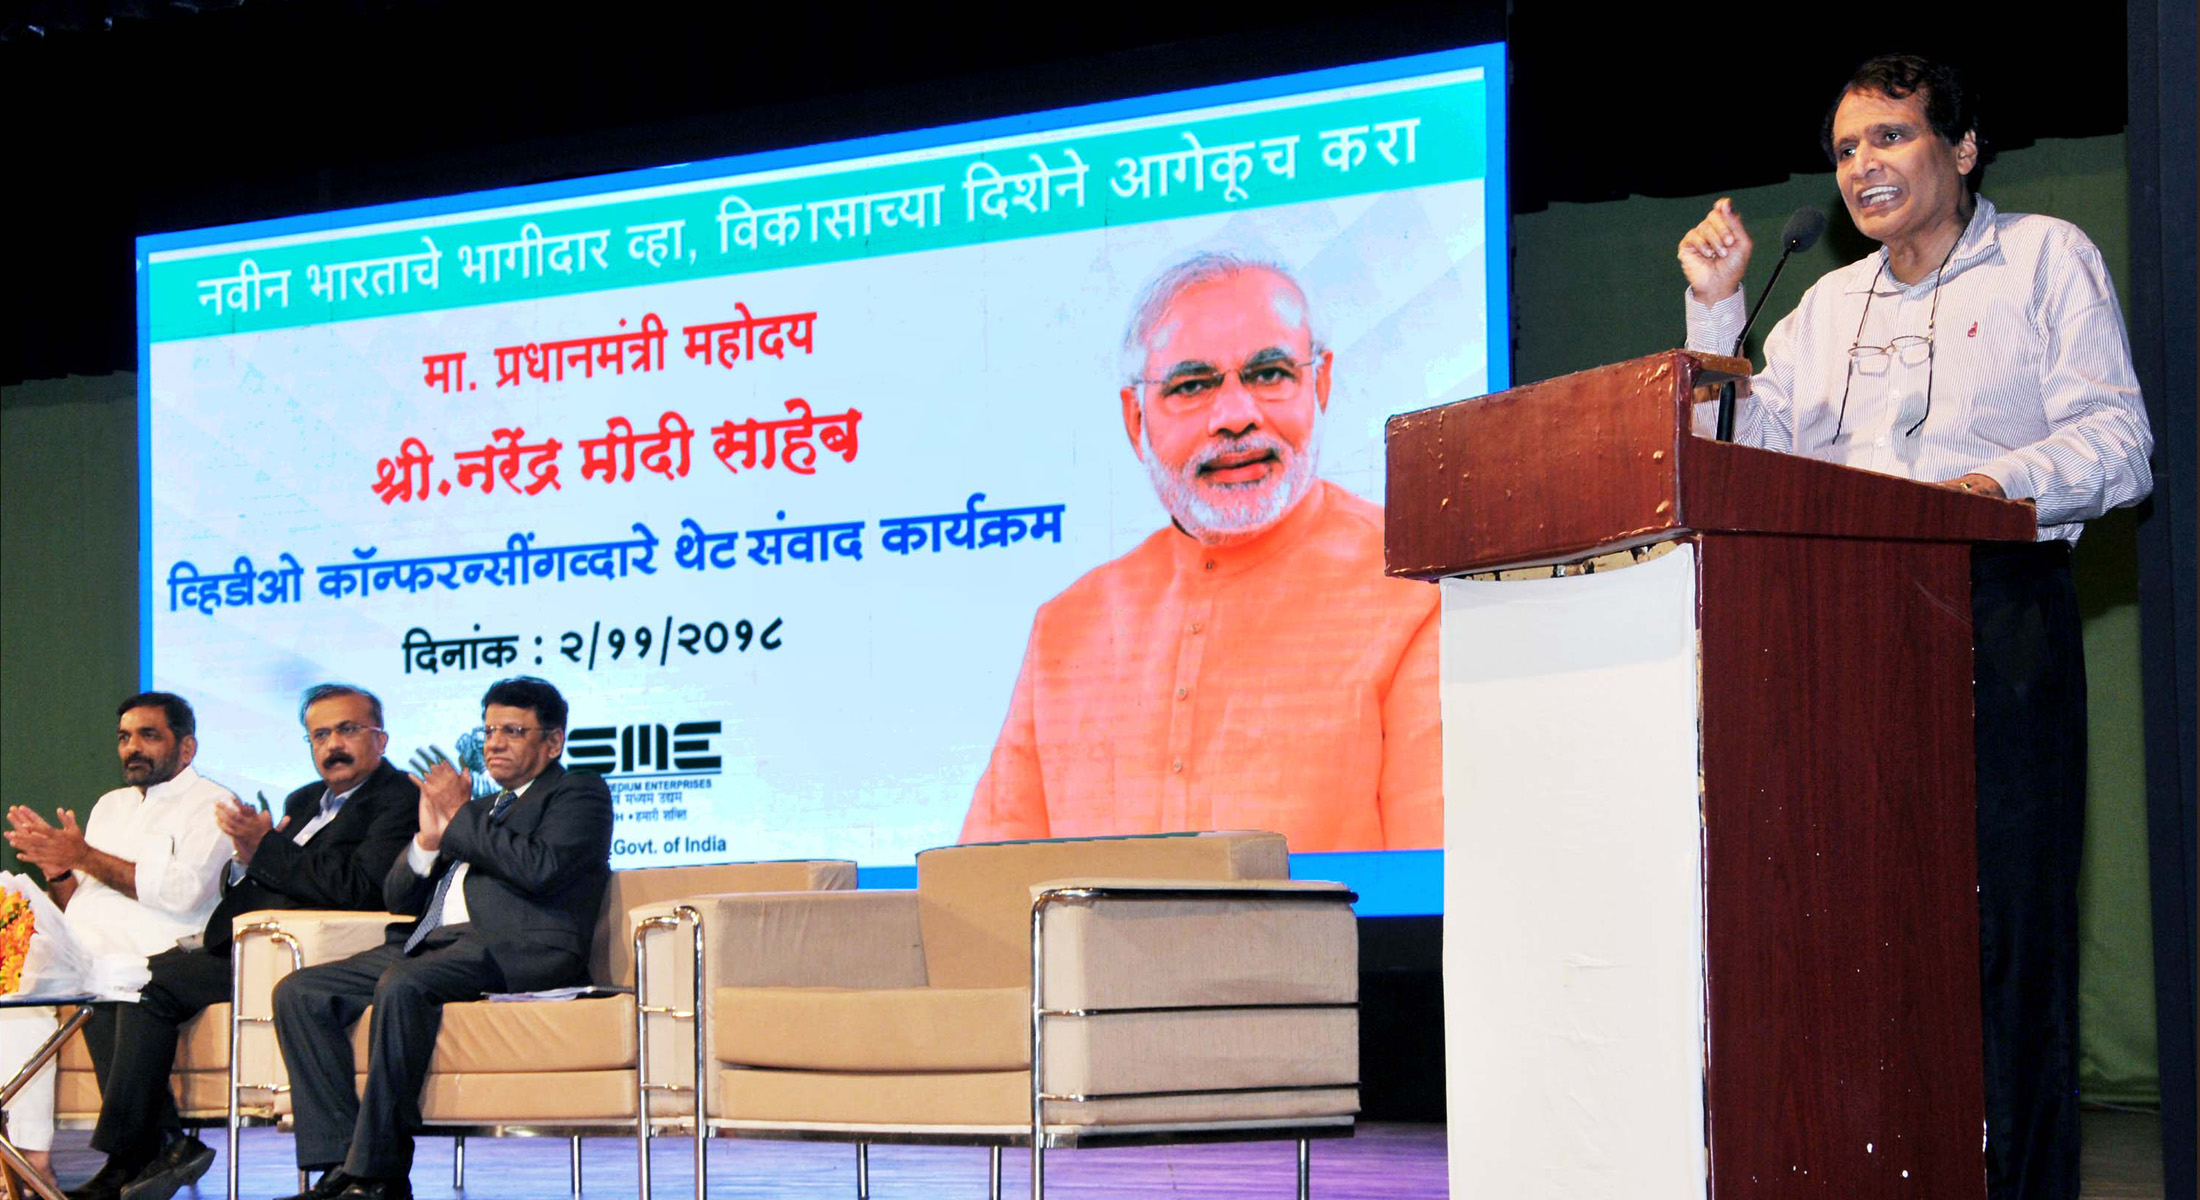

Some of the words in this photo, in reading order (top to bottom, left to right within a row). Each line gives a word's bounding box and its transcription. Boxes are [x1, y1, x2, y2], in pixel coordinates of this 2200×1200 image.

[186, 255, 297, 328] नवीन
[301, 229, 453, 309] भारताचे
[453, 219, 619, 297] भागीदार
[620, 211, 706, 277] व्हा,
[709, 179, 952, 264] विकासाच्या
[957, 139, 1098, 237] दिशेने
[1101, 125, 1313, 213] आगेकूच
[1311, 111, 1435, 186] करा
[411, 345, 487, 405] मा.
[489, 307, 674, 394] प्रधानमंत्री
[678, 297, 824, 375] महोदय
[361, 429, 459, 513] श्री.
[449, 421, 569, 503] नरेंद्र
[571, 403, 701, 491] मोदी
[703, 391, 869, 483] साहेब
[158, 543, 309, 625] व्हिडीओ
[309, 517, 666, 606] कॉन्फरन्सींगव्दारे
[669, 515, 743, 579] थेट
[741, 505, 871, 577] संवाद
[873, 487, 1075, 567] कार्यक्रम
[388, 616, 525, 685] दिनांक
[551, 608, 790, 679] २/११/२०१८
[611, 834, 662, 861] Govt.
[661, 833, 686, 857] of
[683, 832, 731, 856] India